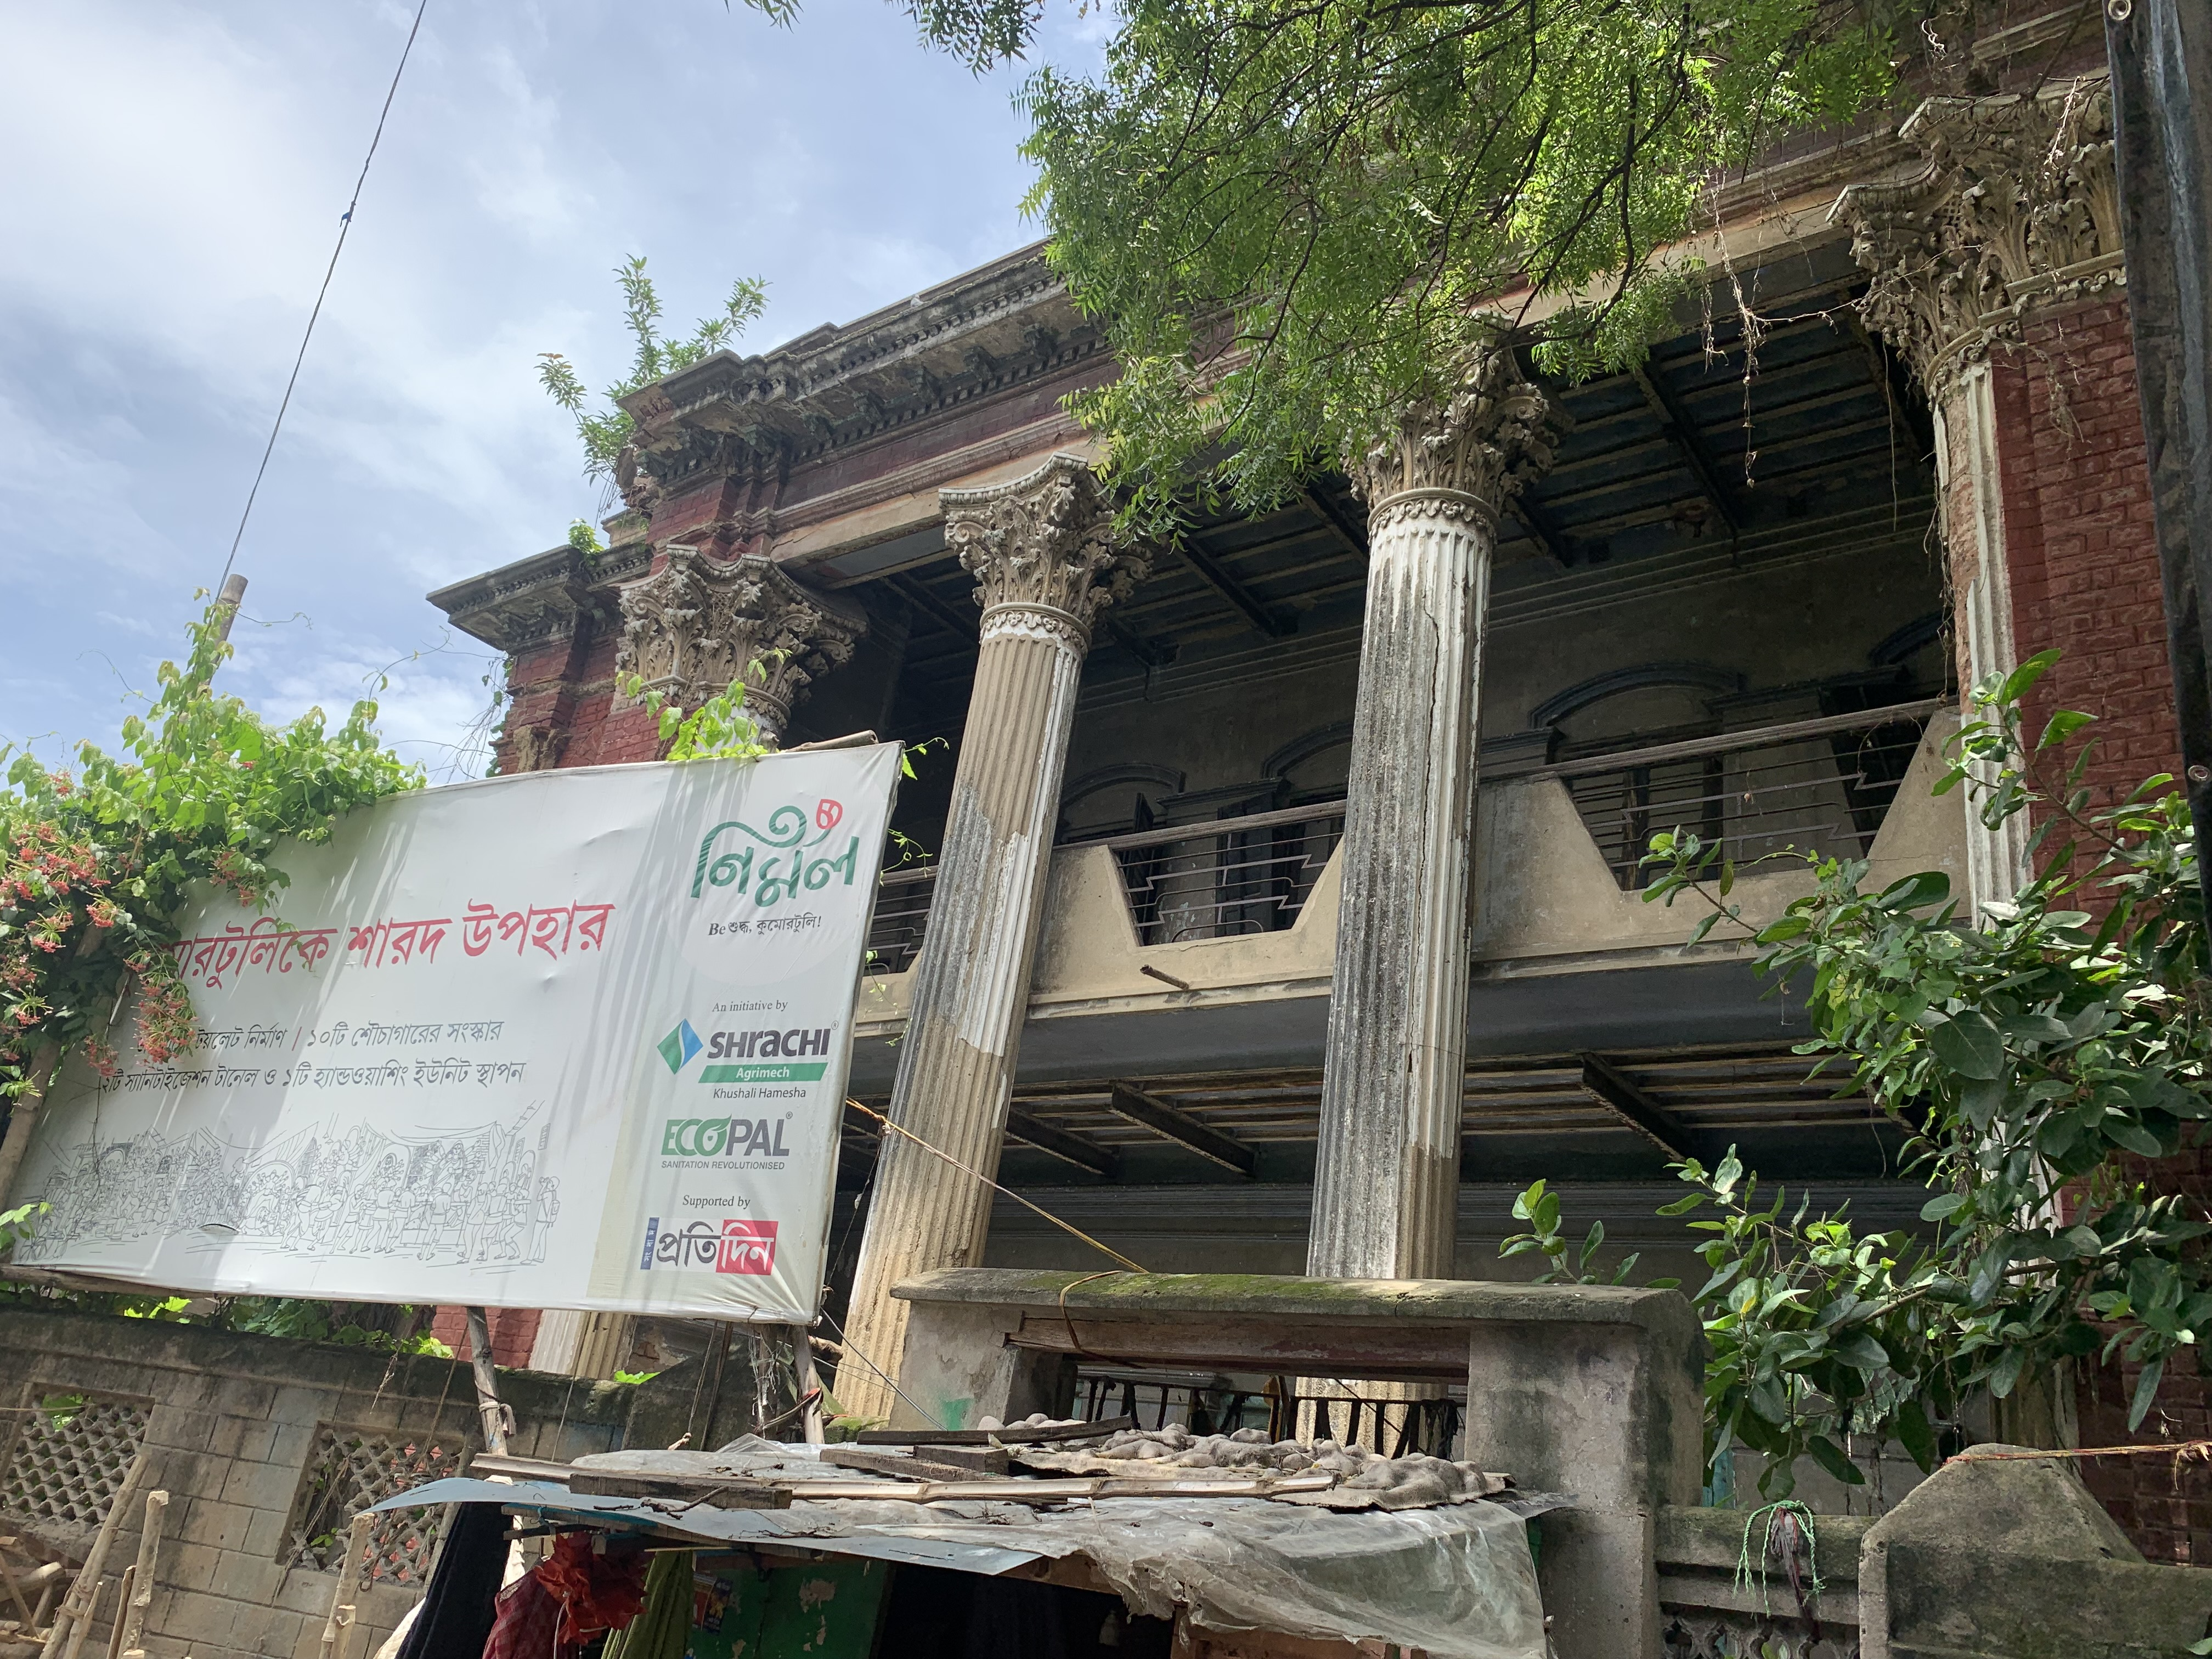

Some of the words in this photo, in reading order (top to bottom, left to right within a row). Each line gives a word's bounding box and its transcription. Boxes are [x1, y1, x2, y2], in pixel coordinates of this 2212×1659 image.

[170, 907, 345, 994] রটুলিকে
[341, 909, 453, 976] শারদ
[457, 888, 613, 967] উপহার
[752, 907, 822, 938] কুমোরটুলি!
[709, 998, 730, 1014] An
[727, 996, 776, 1014] initiative
[774, 995, 794, 1014] by
[191, 1019, 249, 1052] টয়লেট
[244, 1019, 289, 1049] নির্মাণ
[301, 1017, 353, 1051] ১০টি
[348, 1013, 444, 1049] শৌচাগারের
[444, 1019, 505, 1045] সংস্কার
[704, 1021, 832, 1064] SHraCHI
[95, 1062, 126, 1098] ২টি
[125, 1065, 217, 1092] স্যানিটাইজেশন
[211, 1056, 267, 1091] টানেল
[259, 1066, 280, 1088] ও
[282, 1058, 315, 1093] ১টি
[311, 1053, 412, 1090] হ্যান্ডওয়াশিং
[408, 1053, 475, 1088] ইউনিট
[475, 1057, 532, 1093] স্থাপন
[708, 1084, 760, 1103] Khushali
[732, 1061, 797, 1084] Agrimech
[757, 1085, 809, 1101] Hamesha
[657, 1114, 795, 1159] ECOPAL
[659, 1155, 713, 1171] SANITATION
[708, 1158, 788, 1174] REVOLUTIONISED
[679, 1188, 736, 1212] Supported
[735, 1194, 755, 1212] by
[653, 1217, 781, 1273] প্রতিদিন